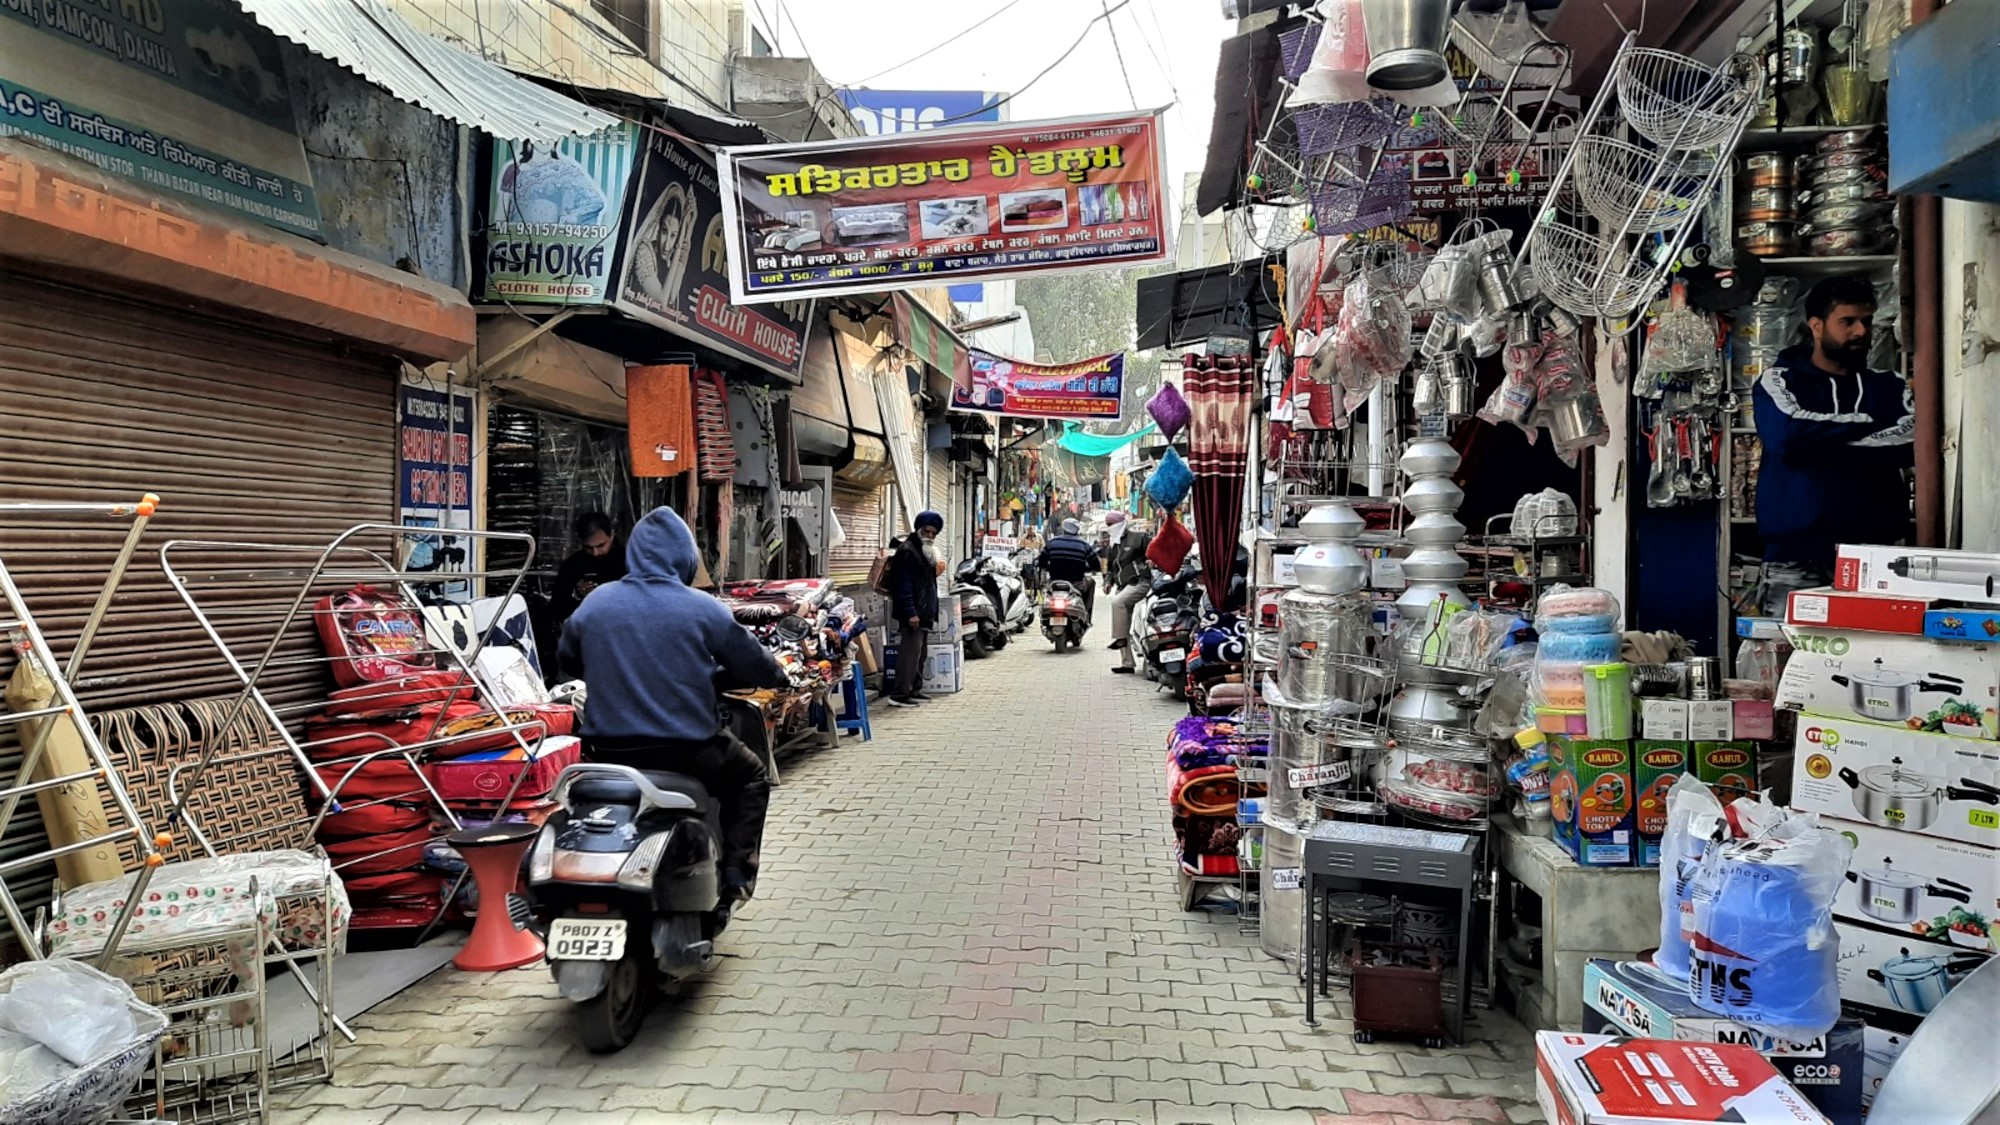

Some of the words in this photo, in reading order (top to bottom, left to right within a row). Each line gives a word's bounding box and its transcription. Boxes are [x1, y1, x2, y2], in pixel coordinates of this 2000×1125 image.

[39, 1, 121, 59] CAMCOM,
[120, 24, 183, 85] DAHUA
[11, 81, 38, 119] C
[37, 95, 68, 130] ਦੀ
[66, 107, 128, 148] ਸਰਵਿਸ
[127, 127, 160, 160] ਅਤੇ
[159, 135, 221, 180] ਰਿਪੇਆਰ
[219, 155, 255, 193] ਕੀਤੀ
[253, 171, 289, 202] ਜਾਦੀ
[287, 179, 311, 209] ਹੈ
[755, 155, 978, 203] ਸਤਿਕਰਤਾਰ
[982, 137, 1134, 187] ਹੈਂਡਲੂਮ
[489, 218, 512, 237] M
[513, 220, 612, 242] 93157-94250
[487, 238, 611, 283] ASHOKA
[493, 279, 541, 295] CLOTH
[544, 283, 592, 297] HOUSE
[695, 285, 752, 343] CLOTH
[749, 313, 797, 365] HOUSE
[554, 937, 623, 957] 0923
[558, 921, 620, 941] PB07 Z
[1596, 979, 1653, 1041] NAYASA